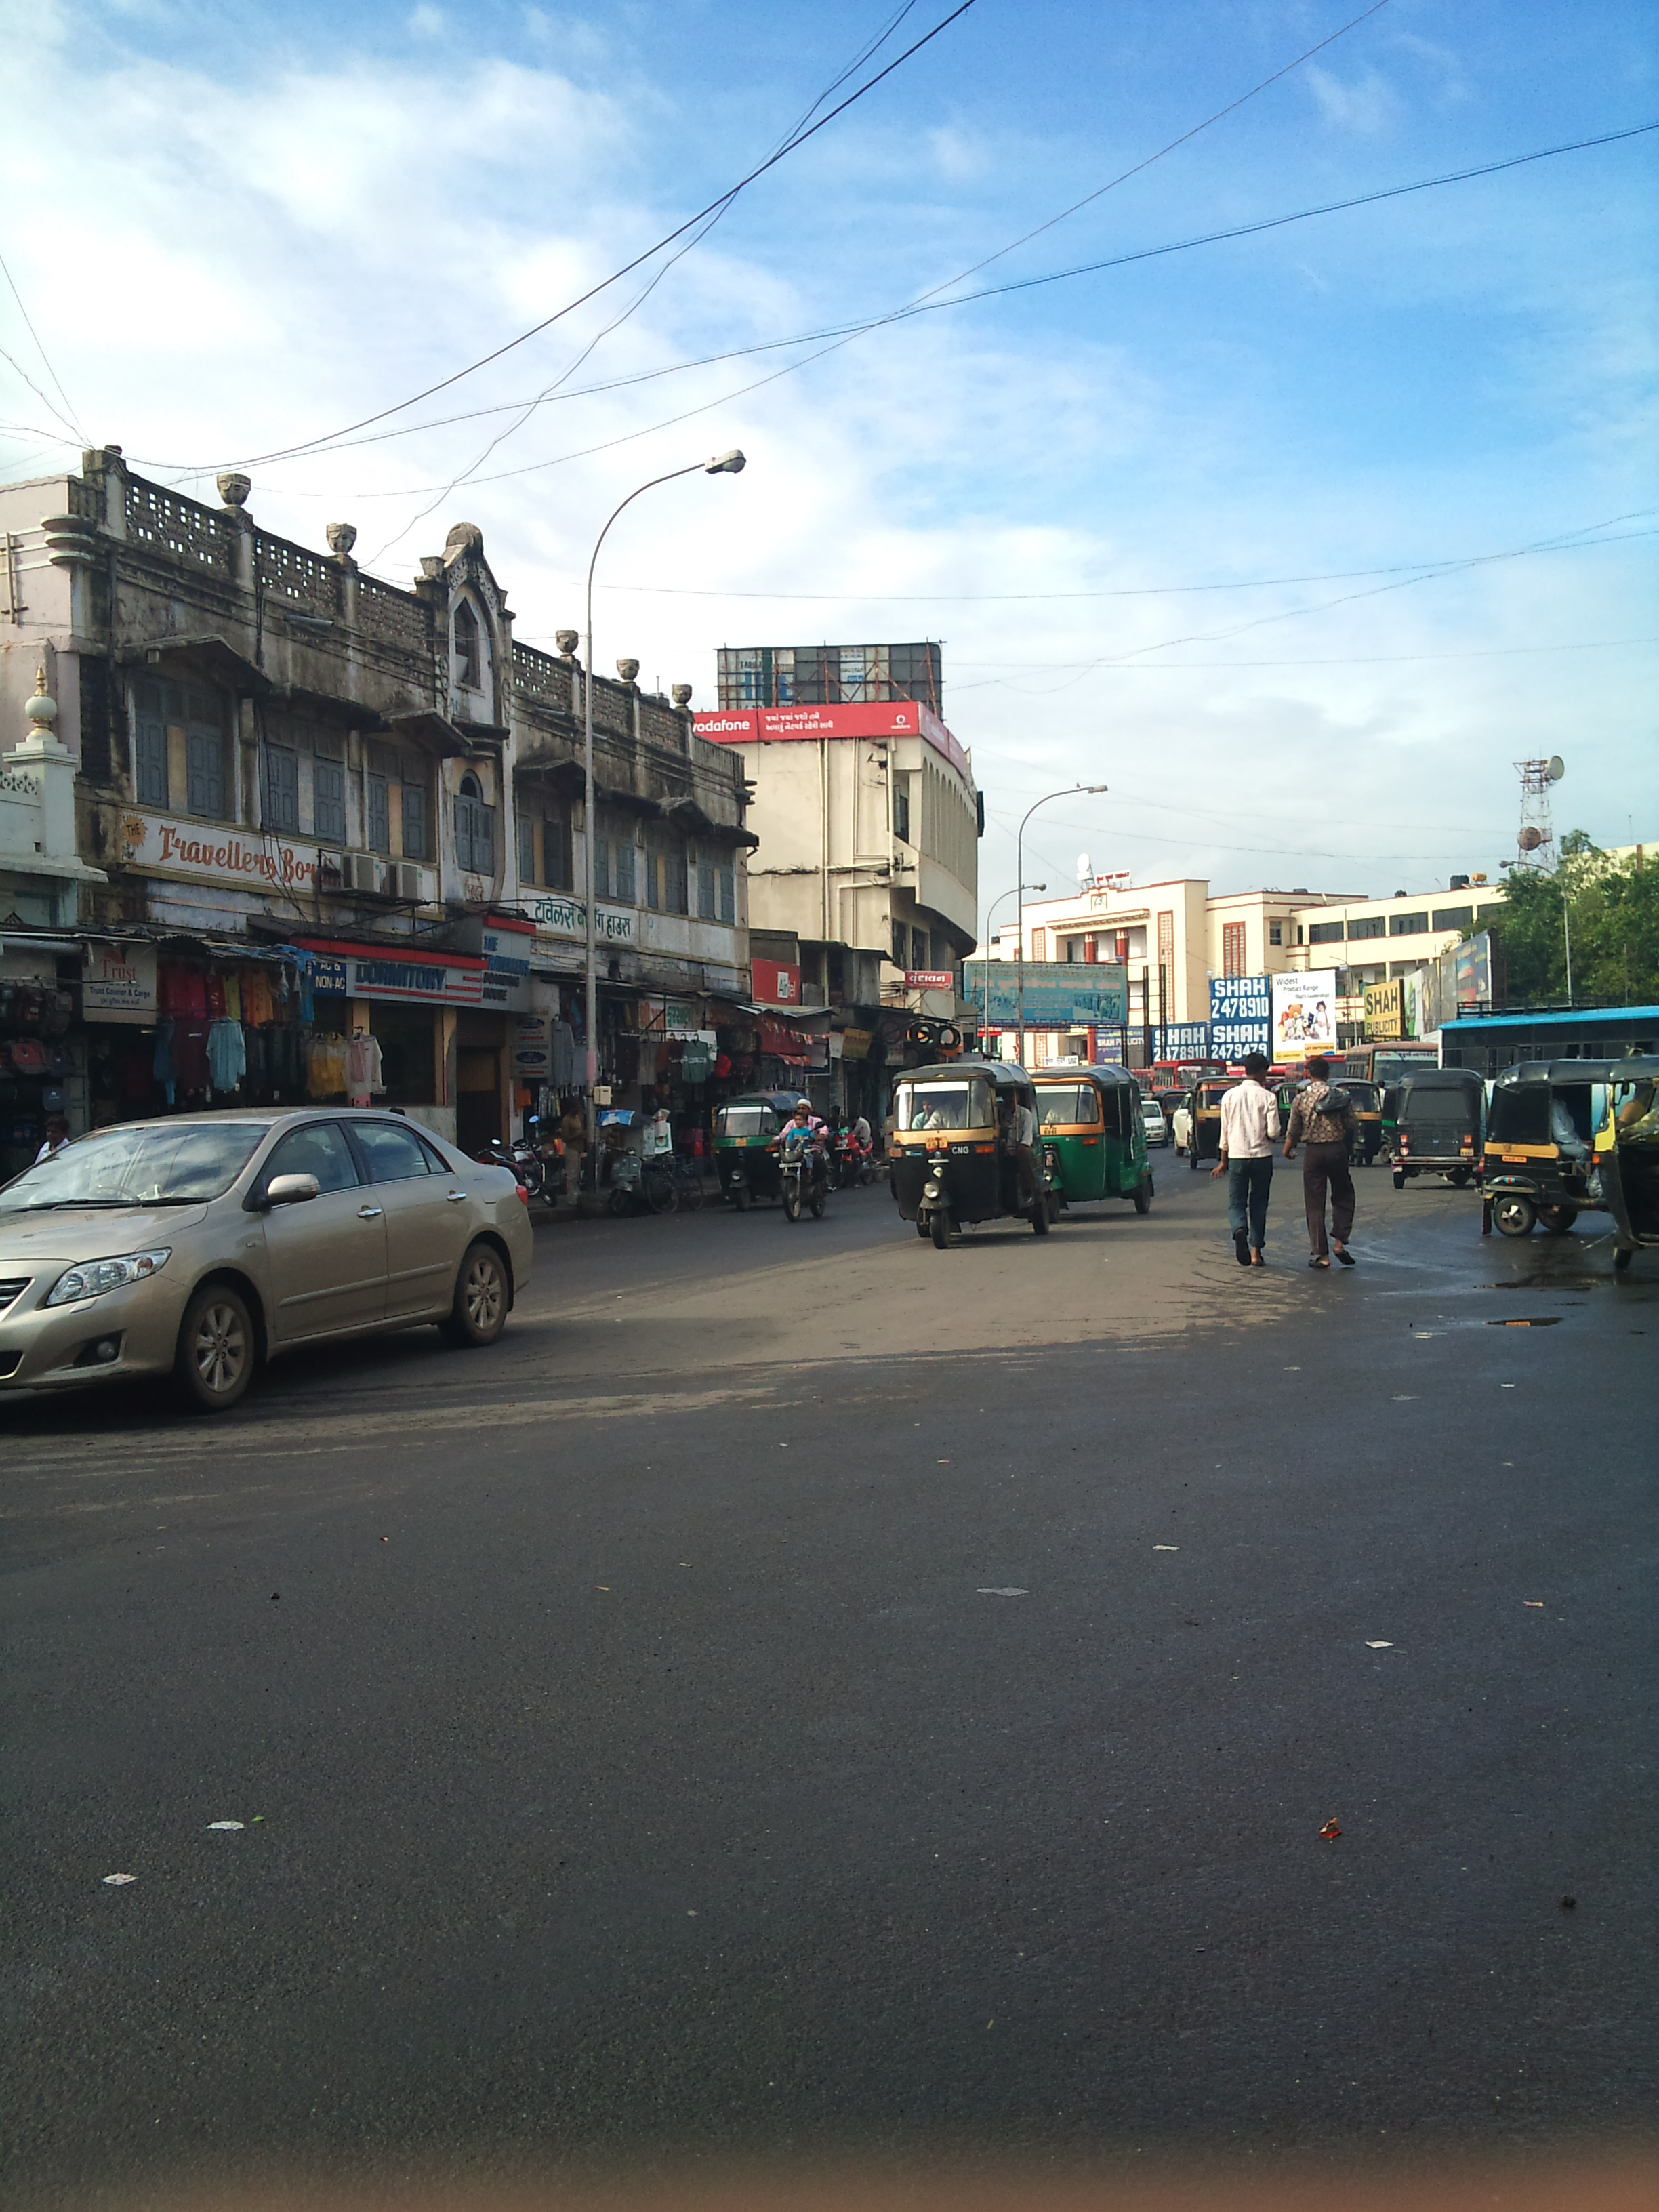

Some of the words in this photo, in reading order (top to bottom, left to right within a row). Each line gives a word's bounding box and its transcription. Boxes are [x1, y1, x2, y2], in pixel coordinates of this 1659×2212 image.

[690, 717, 754, 736] vodafone
[150, 821, 279, 886] Travellers
[529, 892, 579, 935] ट्रावेलर्स
[602, 908, 634, 949] हाउस
[352, 956, 450, 994] DORMITORY
[1209, 977, 1269, 999] SHAH
[1209, 995, 1270, 1021] 2478910
[1362, 985, 1403, 1021] SHAH
[1208, 1022, 1271, 1044] SHAH